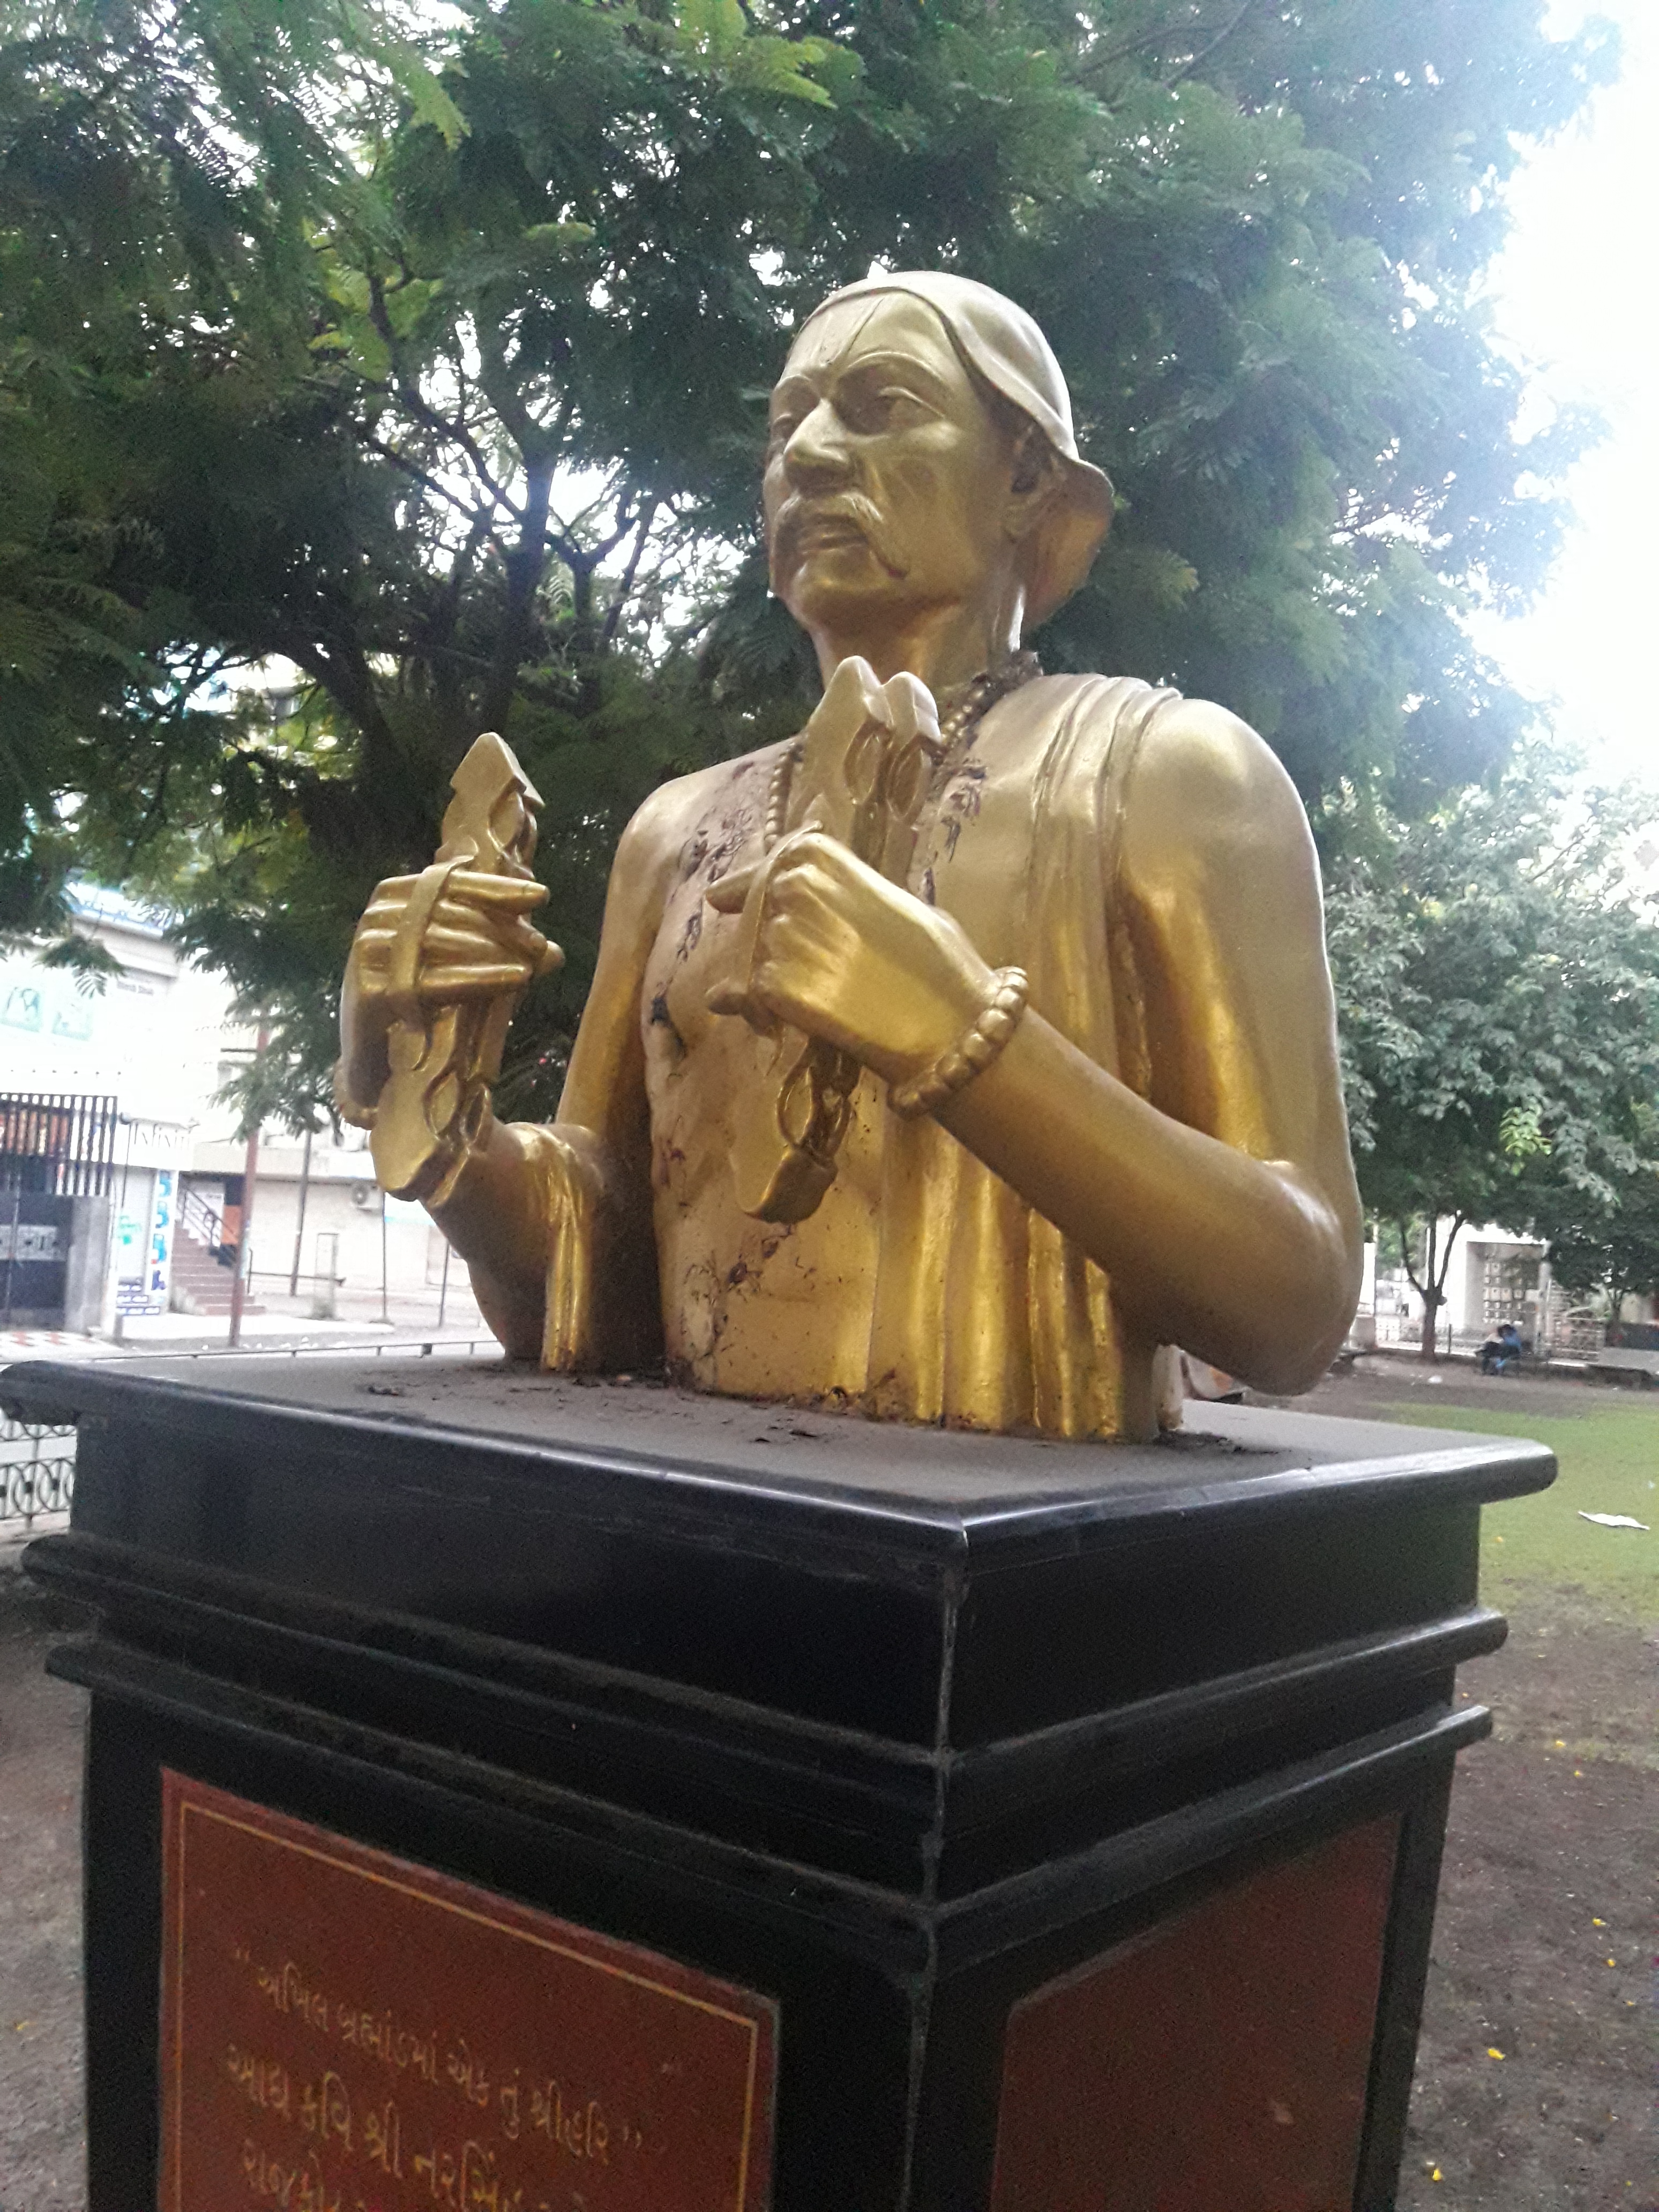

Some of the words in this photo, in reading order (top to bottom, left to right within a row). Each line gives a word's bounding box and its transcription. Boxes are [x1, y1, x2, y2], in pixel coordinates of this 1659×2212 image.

[252, 1951, 334, 2039] અખિલ
[216, 2029, 295, 2121] આદ્ય
[295, 2066, 357, 2158] કવિ
[360, 2096, 408, 2186] શ્રી
[331, 1990, 446, 2093] બ્રહ્માંડમાં
[411, 2139, 459, 2209] નર
[444, 2028, 496, 2115] એક
[493, 2061, 528, 2150] તું
[527, 2071, 619, 2177] શ્રીહરિ